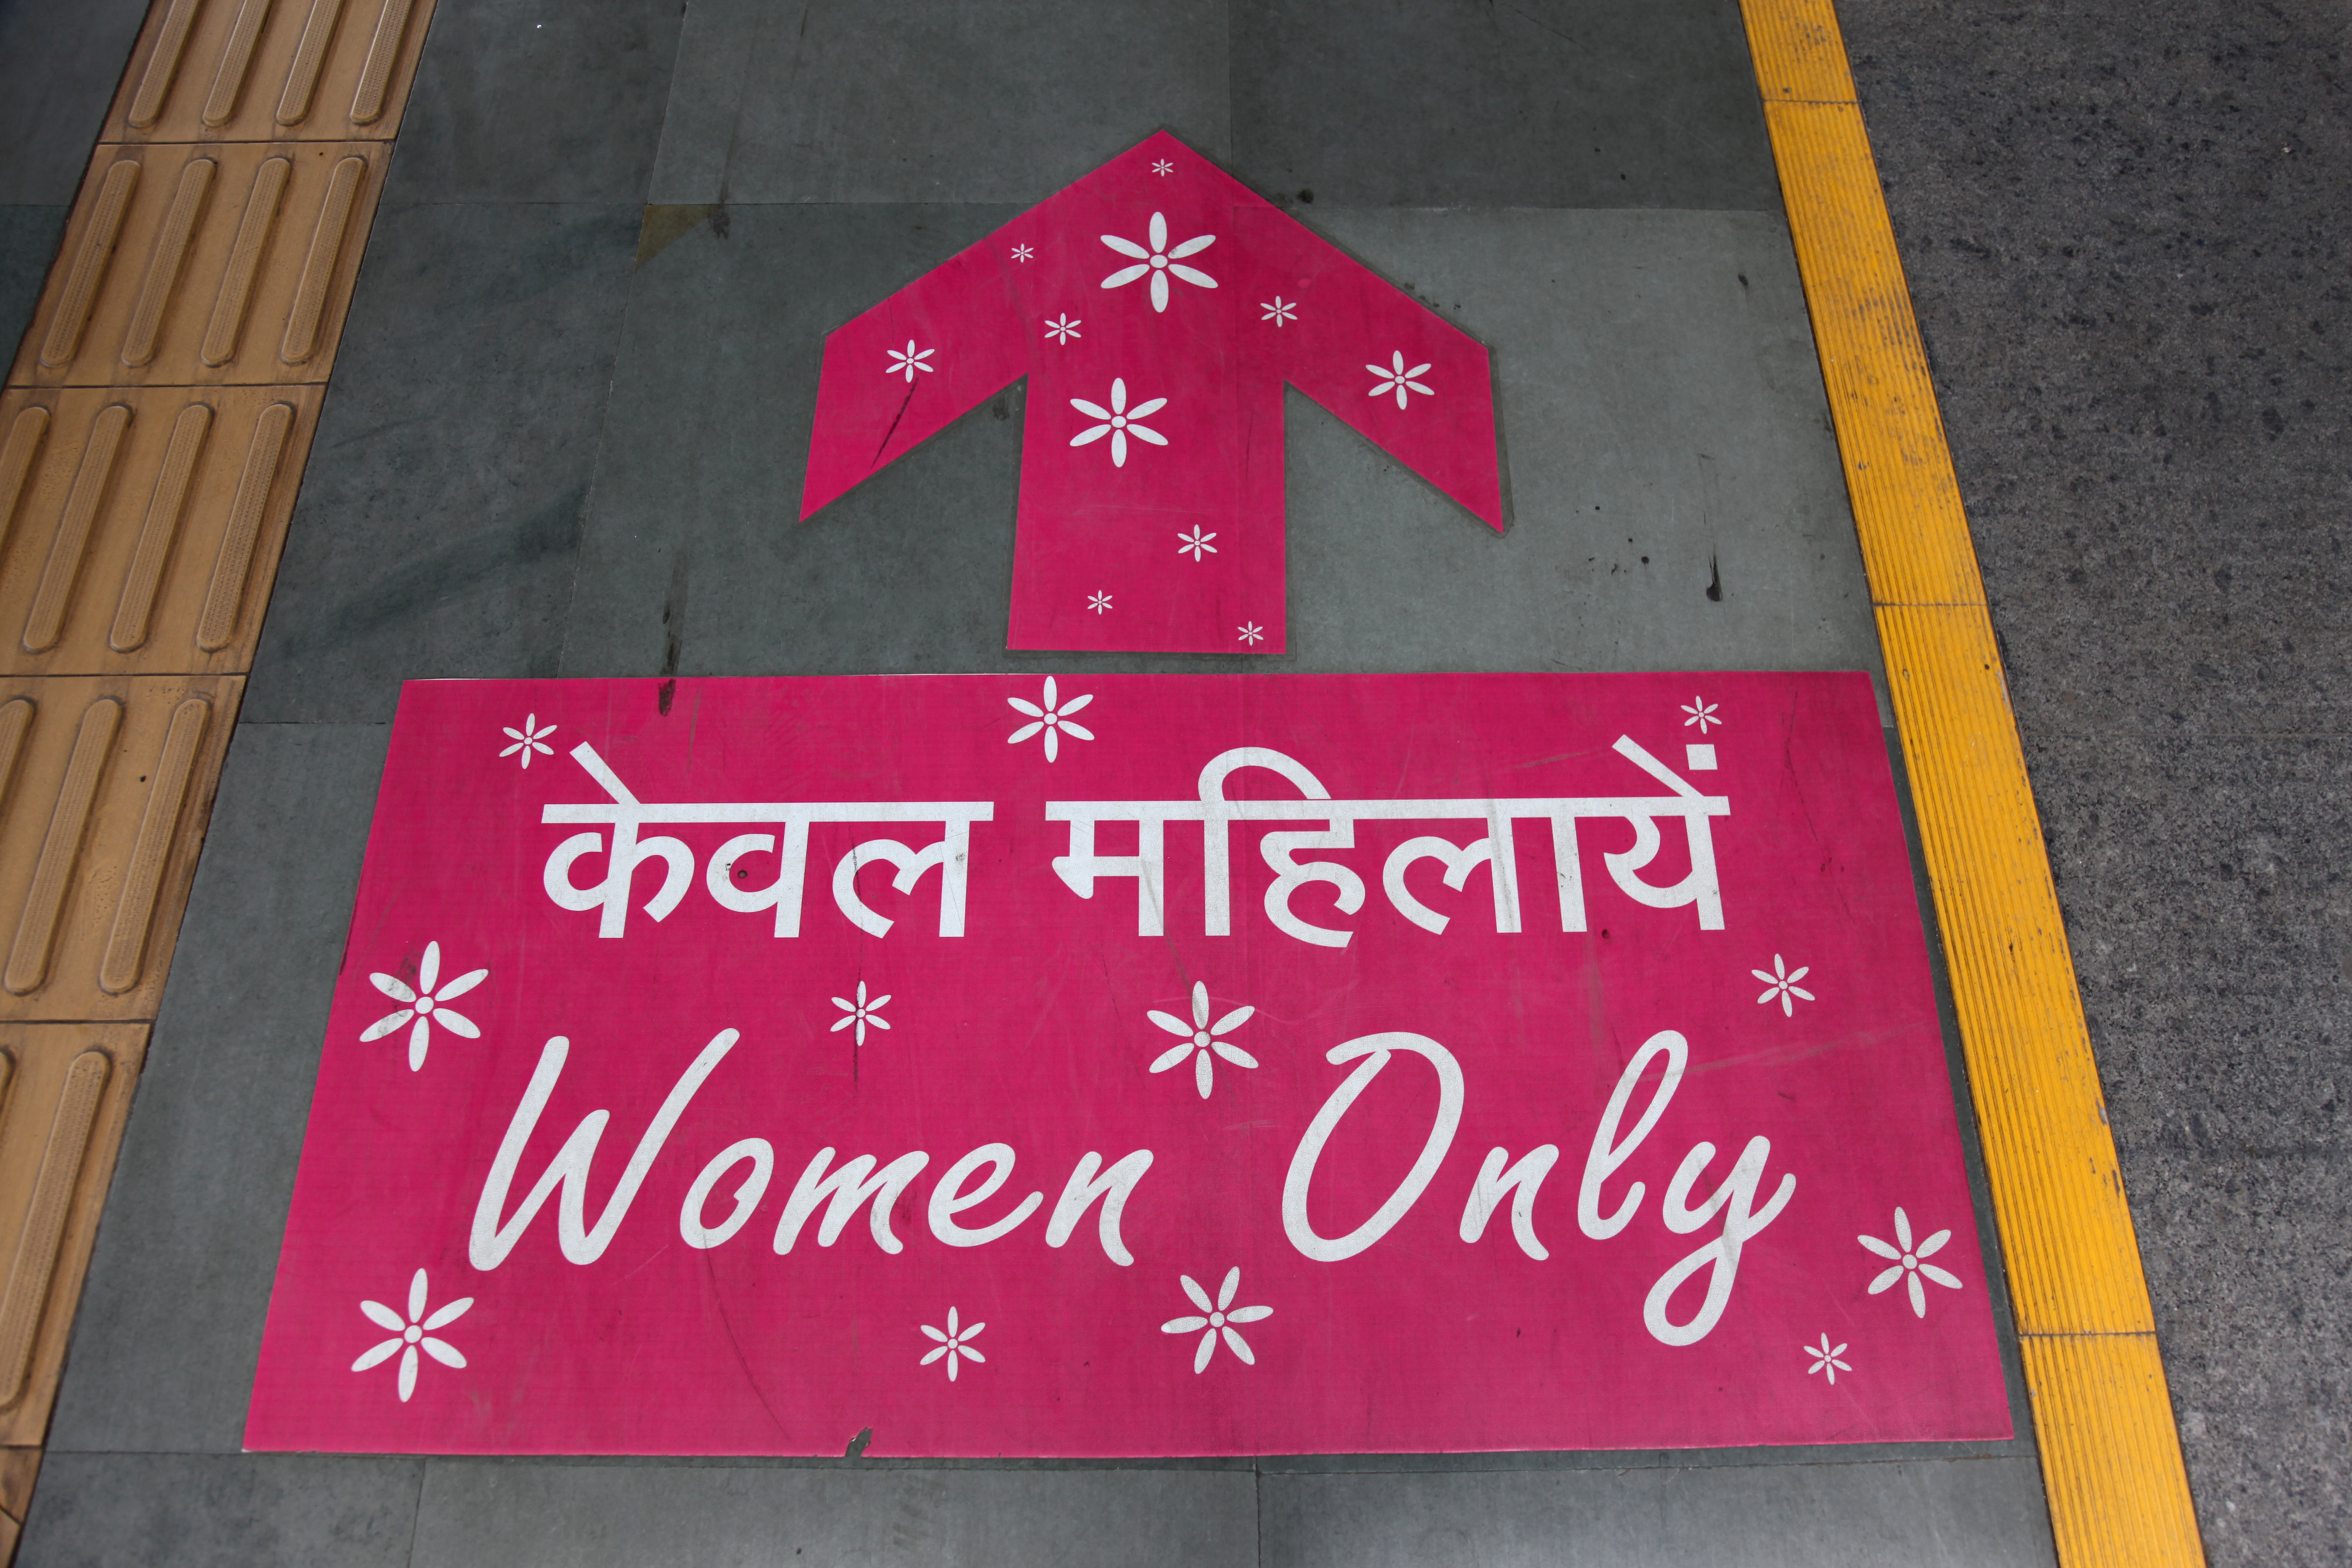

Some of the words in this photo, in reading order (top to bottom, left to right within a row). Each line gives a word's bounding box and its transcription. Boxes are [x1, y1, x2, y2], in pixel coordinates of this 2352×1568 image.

[539, 735, 995, 942] केवल
[1046, 730, 1731, 952] महिलायें
[462, 1025, 1158, 1275] Women
[1277, 1024, 1802, 1353] Only